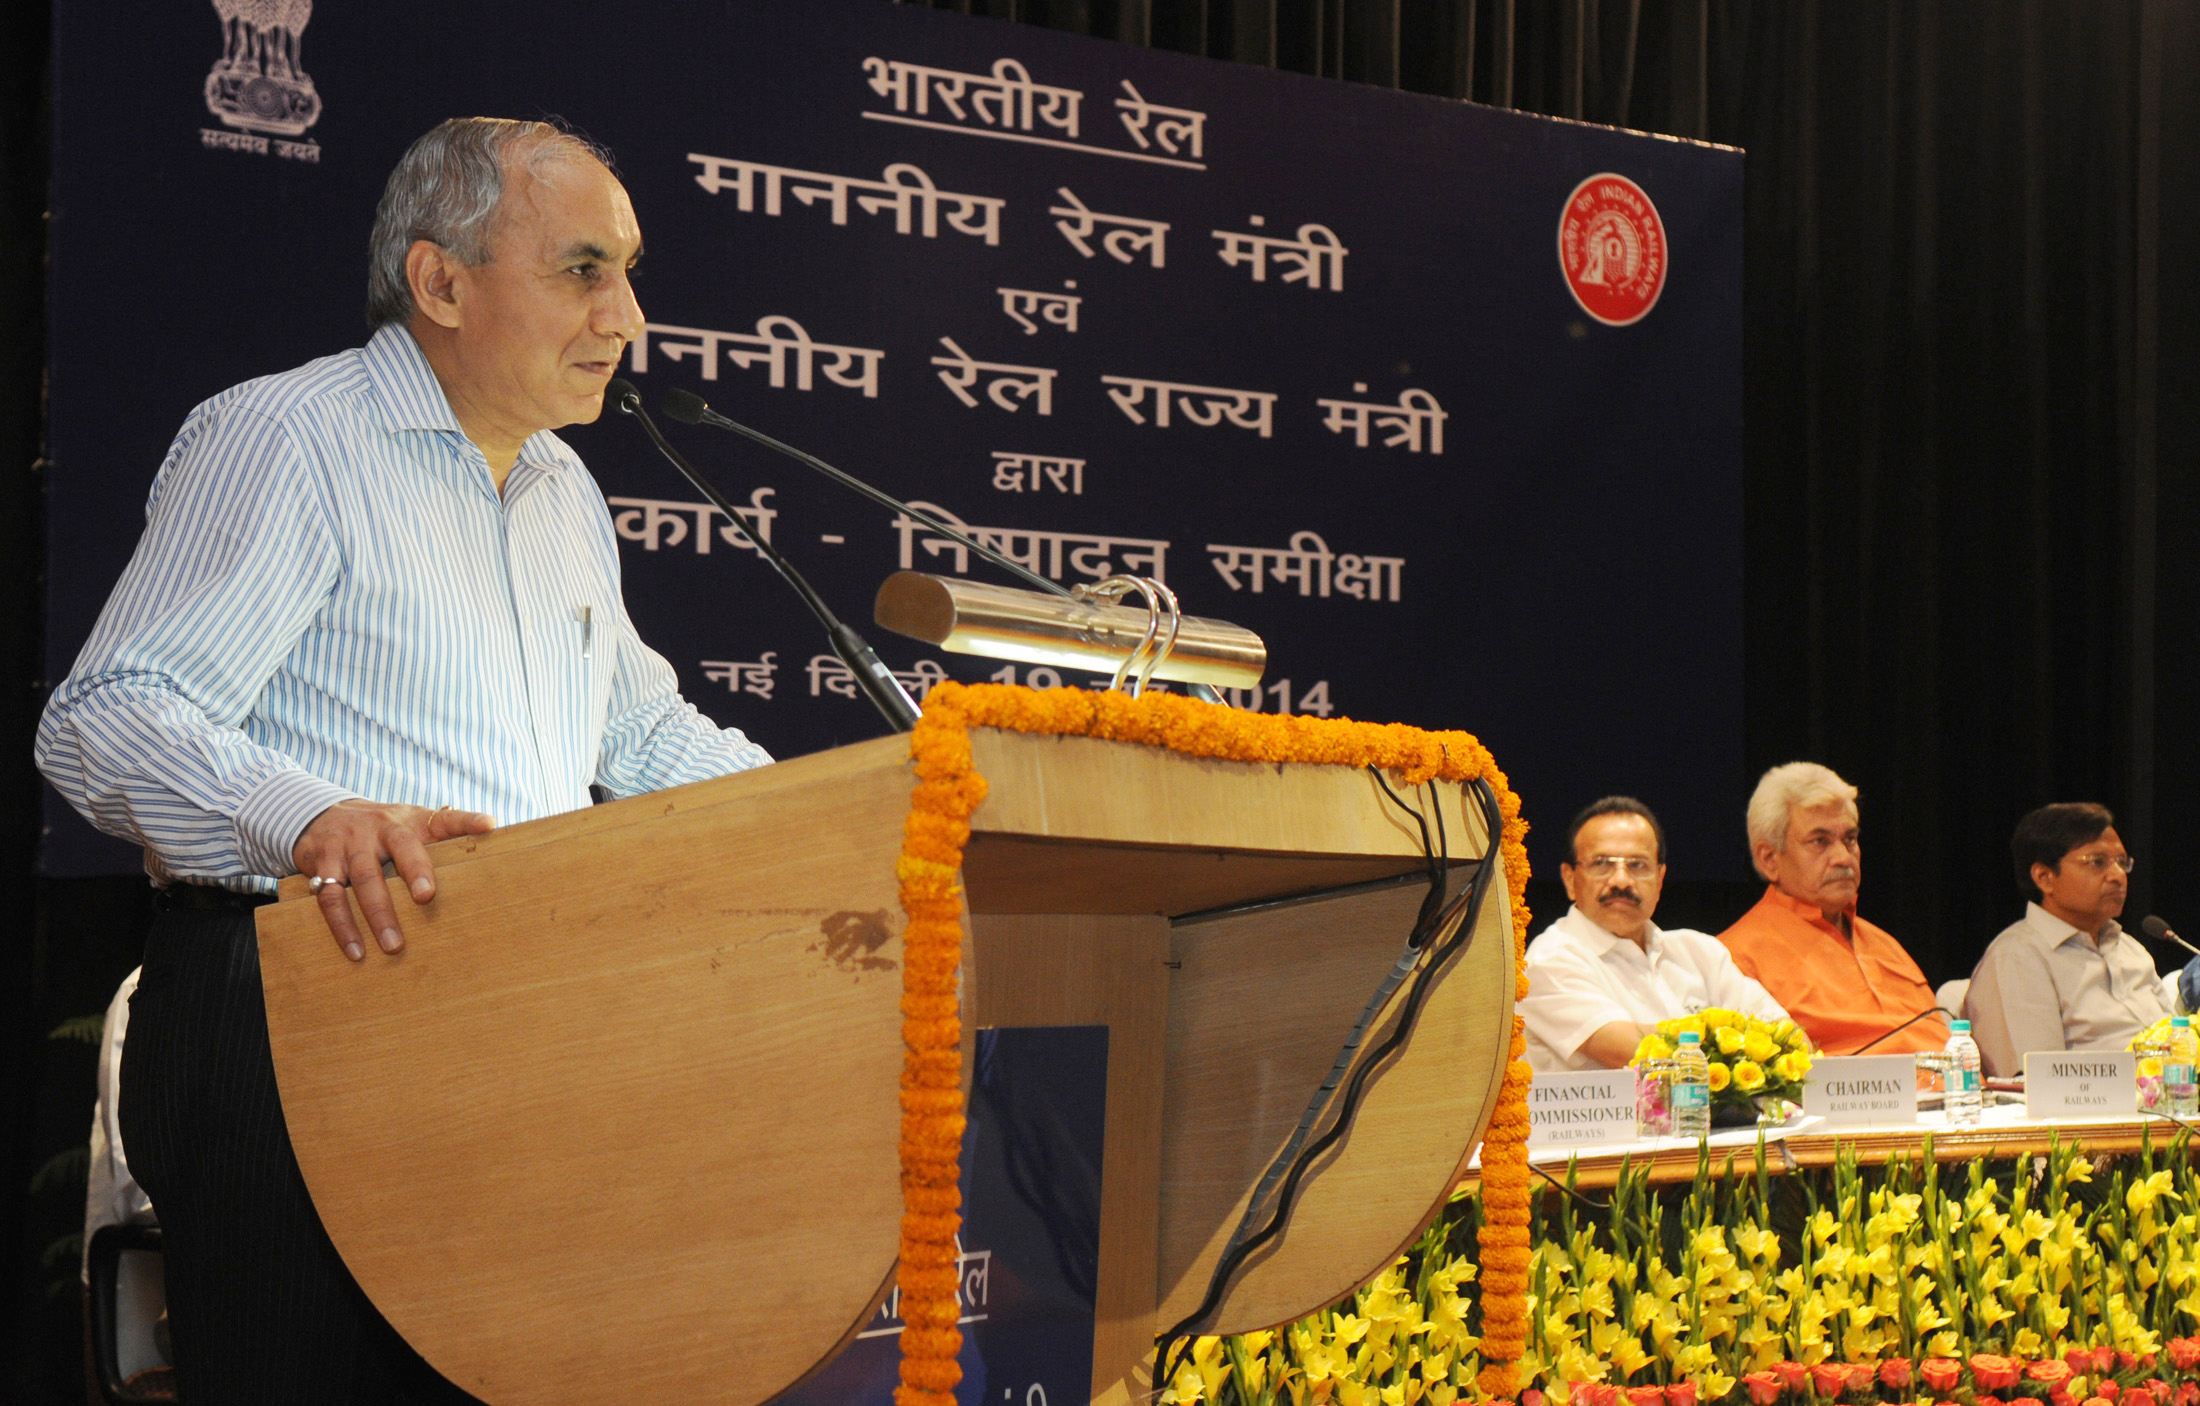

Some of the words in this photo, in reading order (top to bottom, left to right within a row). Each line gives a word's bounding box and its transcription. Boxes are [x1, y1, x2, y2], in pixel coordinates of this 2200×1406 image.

[855, 47, 1087, 142] भारतीय
[1115, 73, 1209, 163] रेल
[683, 143, 1007, 251] माननीय
[1045, 177, 1174, 276] रेल
[1213, 207, 1351, 297] मंत्री
[1597, 175, 1649, 217] INDIAN
[1633, 211, 1665, 304] RAILWAYS
[991, 273, 1085, 341] एवं
[626, 304, 889, 402] माननीय
[928, 329, 1059, 419] रेल
[1100, 368, 1278, 443] राज्य
[1317, 373, 1451, 459] मंत्री
[988, 443, 1091, 501] द्वारा
[602, 481, 783, 567] कार्य
[887, 492, 1173, 593] निष्‍पादन
[1206, 524, 1407, 607] समीक्षा
[698, 645, 779, 702] नई
[1530, 1079, 1621, 1105] FINANCIAL
[1547, 1127, 1609, 1147] RAILWAYS)
[1520, 1101, 1639, 1127] OMMISSIONER
[1824, 1095, 1873, 1119] RAILWAY
[1819, 1075, 1905, 1099] CHAIRMAN
[1869, 1093, 1903, 1117] BOARD
[2073, 1077, 2095, 1093] OF
[2048, 1057, 2121, 1083] MINISTER
[2059, 1087, 2117, 1111] RAILWAYS